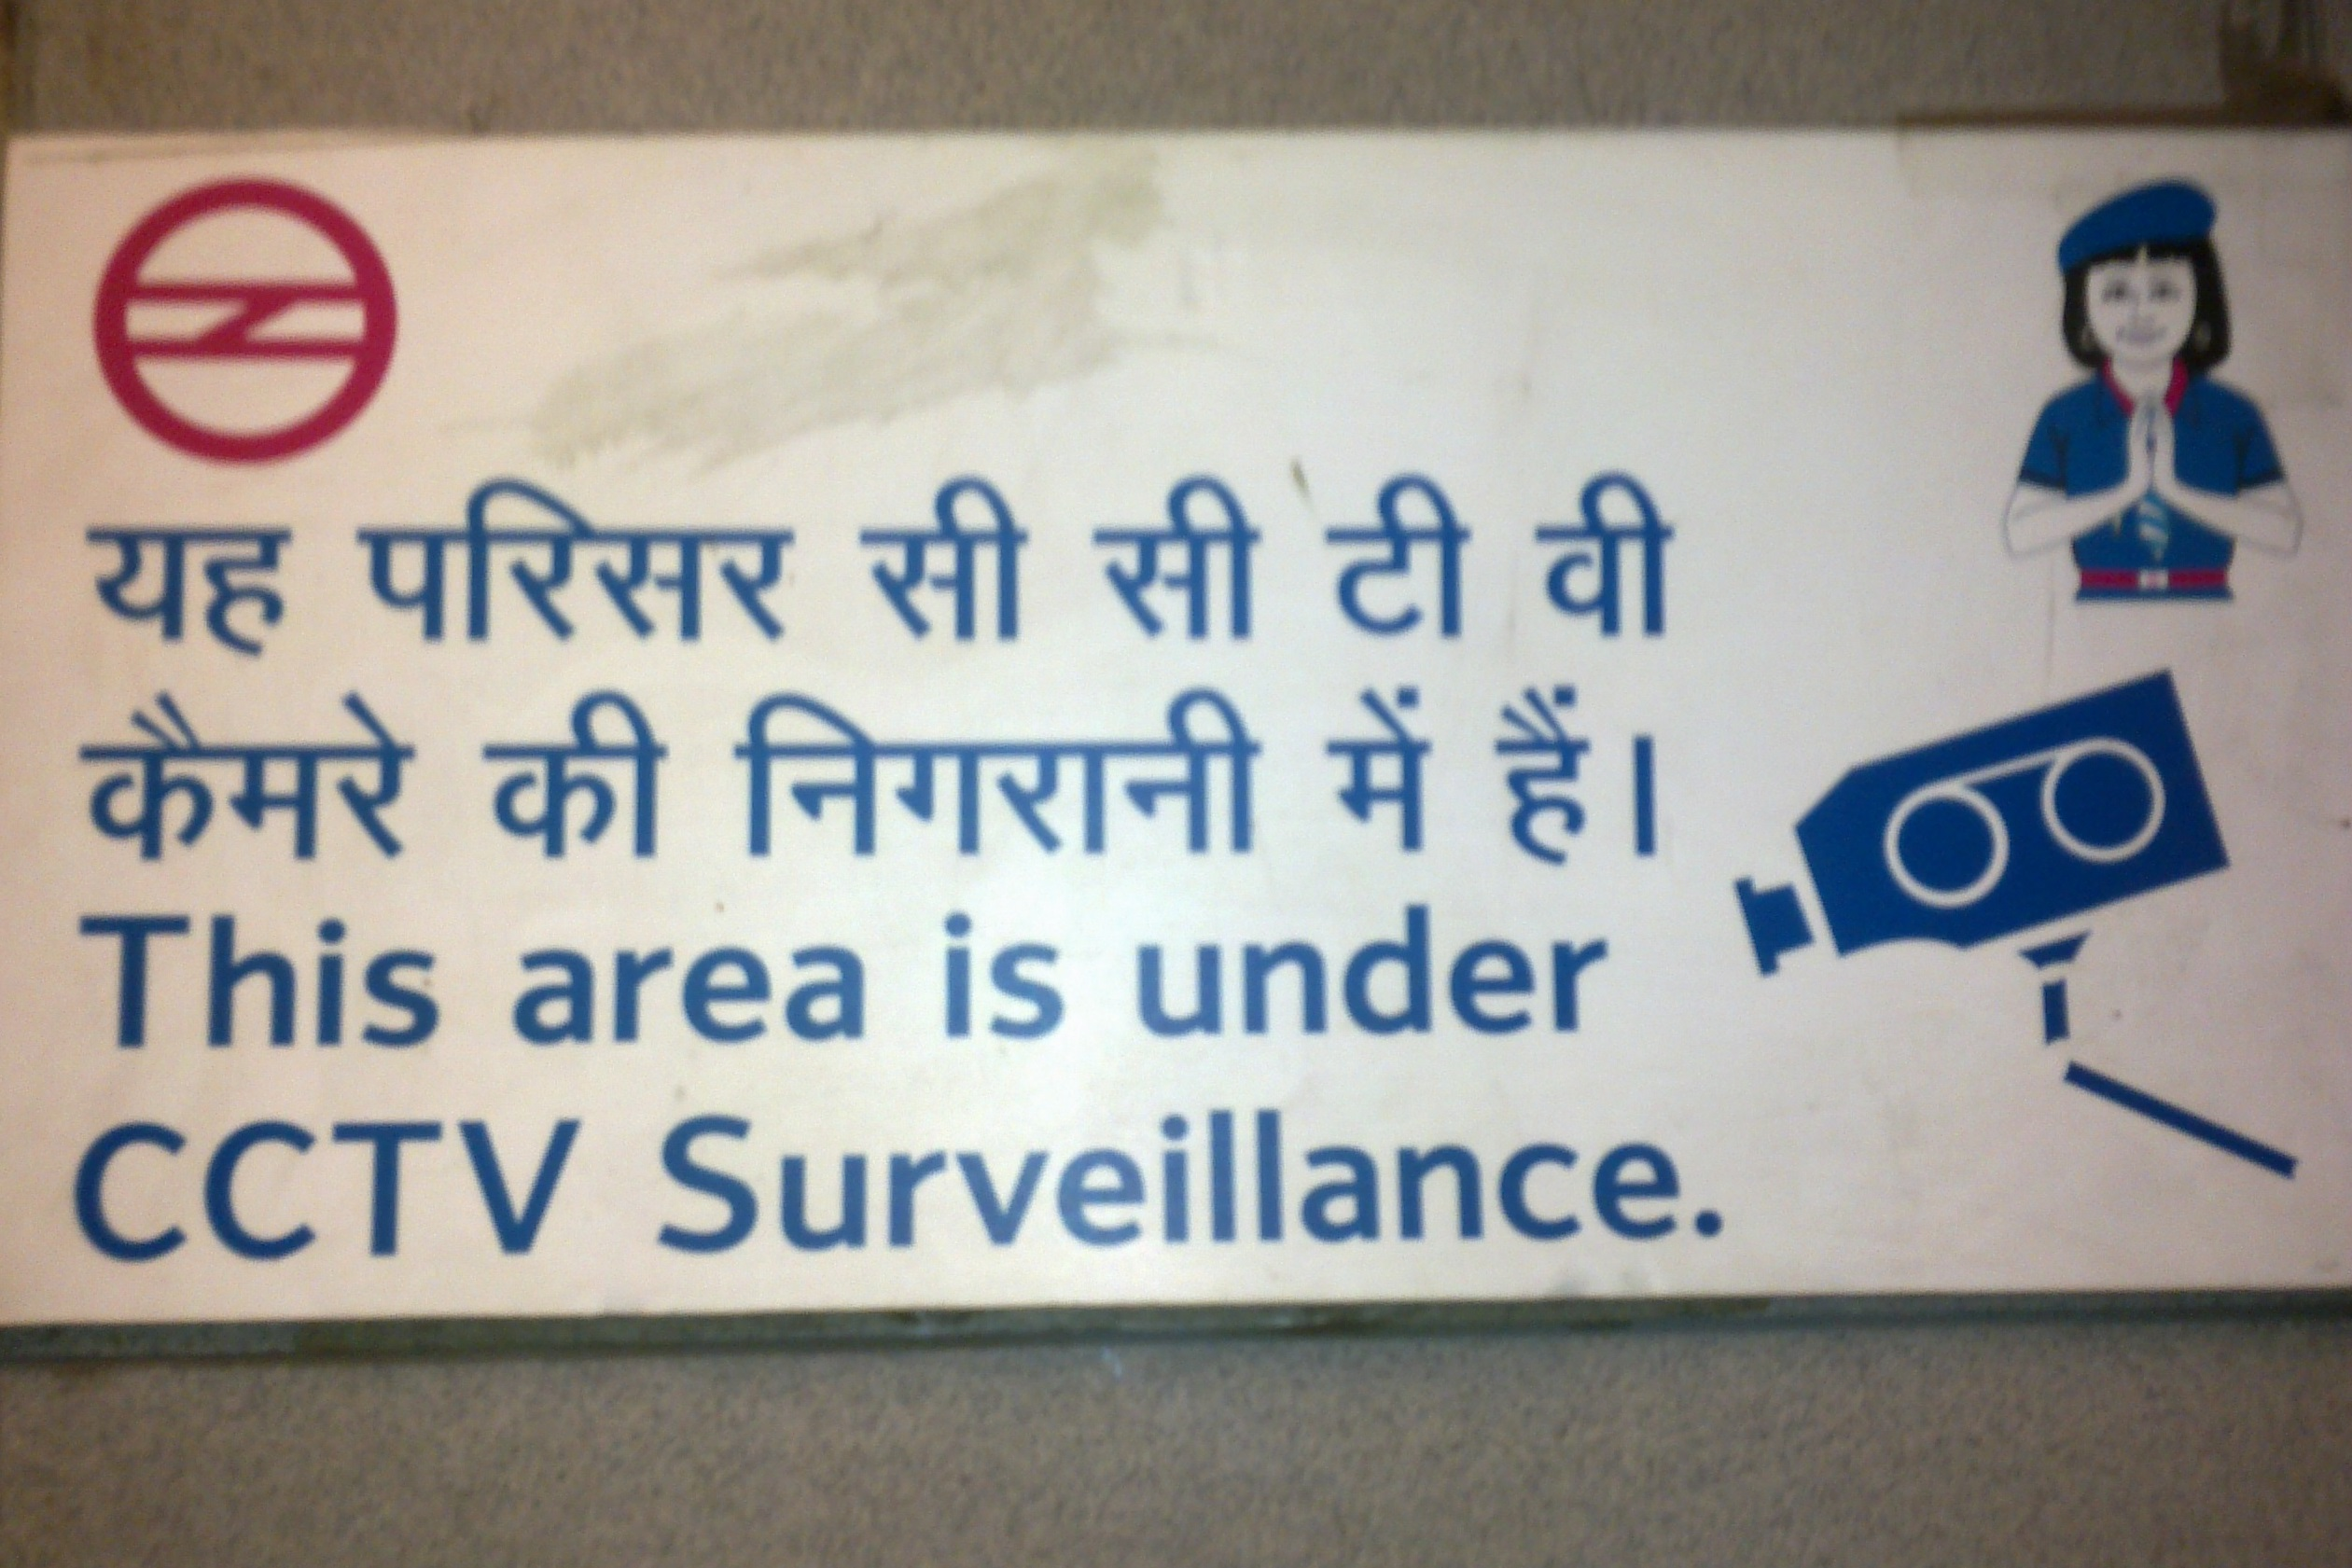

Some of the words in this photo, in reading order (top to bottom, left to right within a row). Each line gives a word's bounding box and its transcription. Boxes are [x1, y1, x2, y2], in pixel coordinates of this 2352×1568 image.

[69, 511, 307, 669] यह
[355, 471, 804, 662] परिसर
[848, 456, 1046, 662] सी
[1078, 456, 1283, 671] सी
[1308, 460, 1482, 662] टी
[1514, 465, 1692, 656] वी
[50, 686, 420, 884] कैमरे
[464, 675, 685, 878] की
[729, 671, 1266, 878] निगरानी
[1308, 675, 1451, 861] में
[1474, 659, 1676, 875] हैं।
[77, 899, 447, 1063] This
[506, 922, 884, 1056] area
[913, 895, 1081, 1057] is
[1132, 899, 1610, 1046] under
[60, 1101, 597, 1278] CCTV
[636, 1099, 1696, 1263] Surveillance